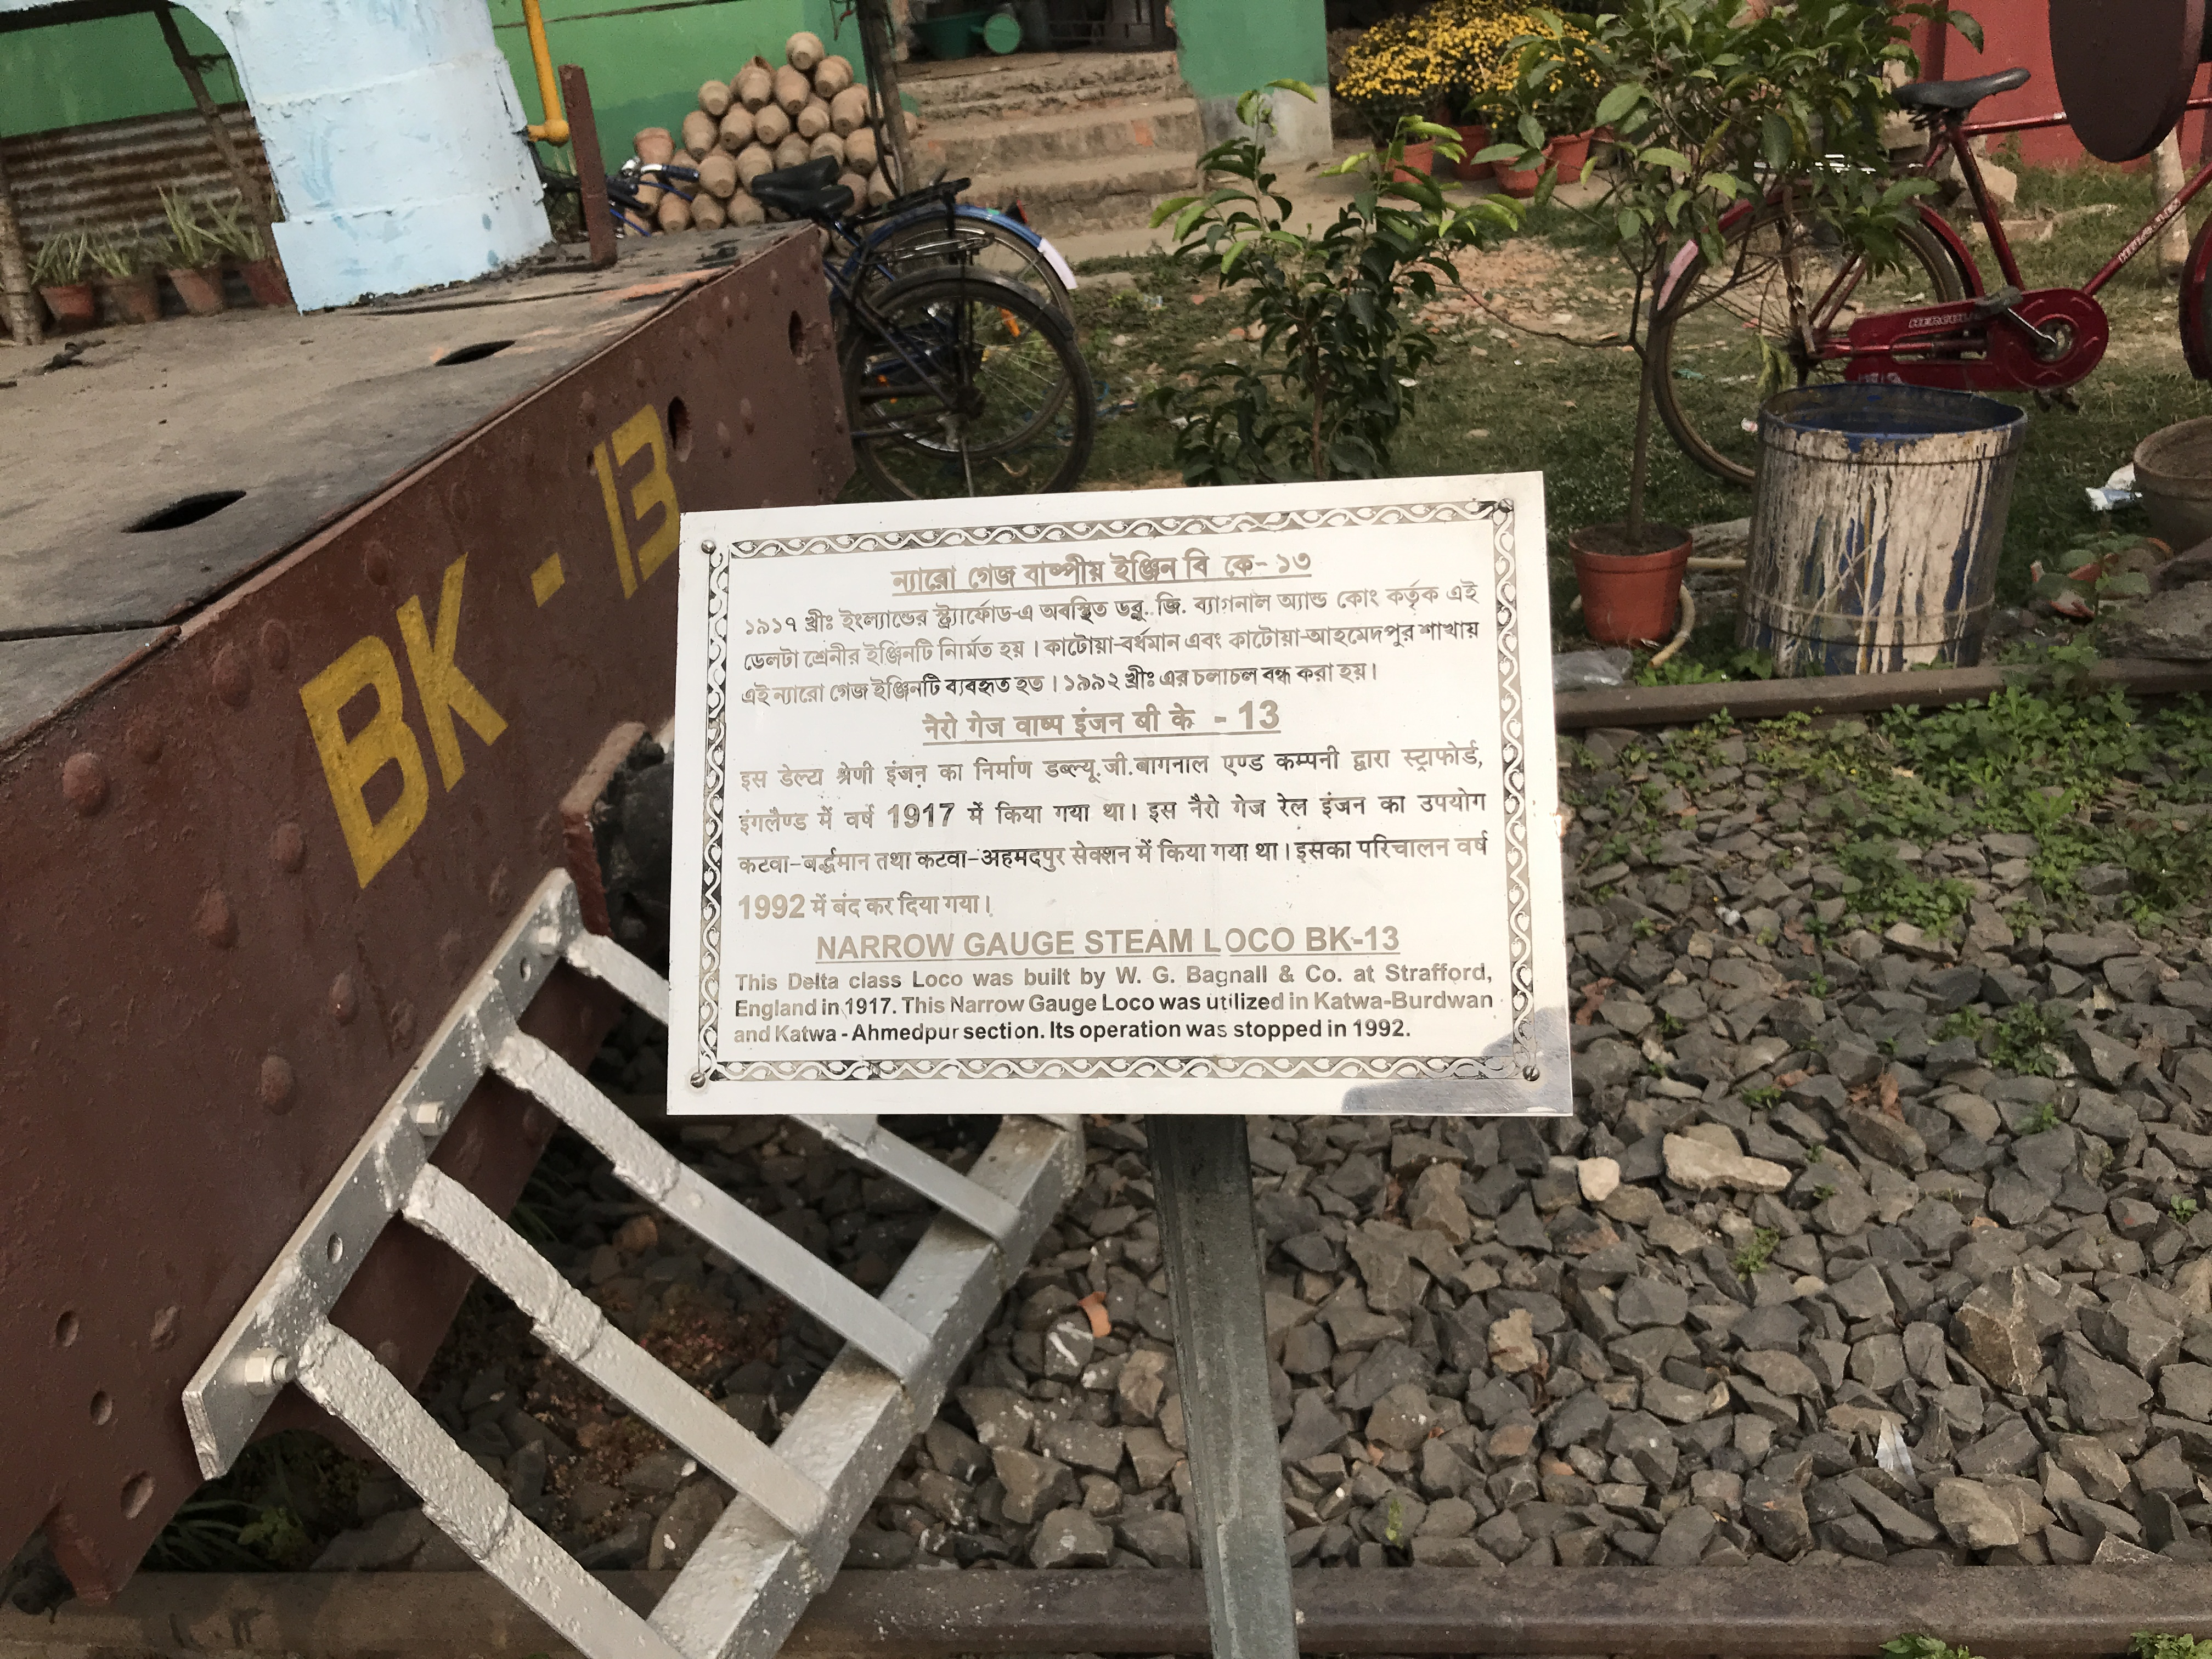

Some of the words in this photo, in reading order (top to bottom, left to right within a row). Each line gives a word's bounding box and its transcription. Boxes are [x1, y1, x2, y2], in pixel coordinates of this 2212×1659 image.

[743, 614, 799, 639] ১৯১৭
[742, 644, 804, 673] ডেলটা
[738, 678, 830, 710] এইন্যারো
[803, 601, 837, 636] খ্রীঃ
[798, 639, 865, 669] শ্রেনীর
[827, 676, 871, 706] গেজ
[830, 605, 932, 636] ইংল্যান্ডের
[859, 630, 938, 672] ইঞ্জিনটি
[861, 669, 945, 706] ইঞ্জিনটি
[887, 559, 961, 600] ন্য৷রো
[932, 630, 995, 663] নির্মিত
[925, 598, 1037, 630] স্ট্র্যাফোড-এ
[962, 554, 1022, 595] গেজ
[945, 673, 1046, 698] ব্যবহৃতহত
[992, 634, 1028, 666] হয়
[1020, 545, 1105, 595] বাষ্পীয়
[1037, 589, 1111, 627] অবস্থিত
[1041, 627, 1118, 662] কাটোয়া
[1062, 669, 1122, 694] ১৯৯২
[1108, 594, 1149, 626] ডব্লু .
[1120, 655, 1156, 693] খ্রীঃ
[1106, 543, 1179, 590] ইঞ্জিন
[1116, 627, 1183, 655] বর্ধমান
[1149, 582, 1189, 620] জি.
[1172, 538, 1215, 588] বি
[1183, 627, 1227, 656] এবং
[1159, 663, 1260, 691] এরচলাচল
[1191, 591, 1273, 617] ব্যাগনাল
[1226, 621, 1307, 652] কাটোয়া-
[1217, 546, 1318, 582] কে-১৩
[1255, 661, 1299, 686] বন্ধ
[1273, 586, 1332, 615] অ্যান্ড
[1291, 658, 1367, 685] করাহয়
[1334, 583, 1382, 609] কোং
[1304, 619, 1419, 650] আহমেদপুর
[1385, 575, 1443, 613] কর্তৃক
[1416, 617, 1483, 644] শাখায়
[1445, 574, 1483, 608] এই্
[283, 546, 516, 899] BK
[919, 706, 963, 743] नेरो
[963, 708, 1010, 742] गेज
[1013, 706, 1069, 742] वाष्प
[1064, 697, 1125, 742] इंजन
[1132, 697, 1169, 737] बी
[1161, 697, 1198, 737] के
[1211, 692, 1284, 735] -13
[738, 764, 771, 791] इस
[778, 760, 825, 791] डेल्टा
[830, 753, 878, 789] श्रेणी
[885, 755, 930, 787] इंजन
[934, 758, 968, 787] का
[969, 751, 1034, 782] निर्माण
[1041, 749, 1104, 787] डब्ल्यू.
[1097, 746, 1211, 778] जी.बागनाल
[1215, 746, 1267, 780] एण्ड
[1273, 740, 1338, 773] कम्‍पनी
[1347, 740, 1396, 773] द्वारा
[1398, 737, 1479, 771] स्ट्राफोर्ड
[731, 803, 811, 837] इंगलैण्ड
[814, 797, 838, 832] में
[841, 800, 879, 834] वर्ष
[888, 796, 960, 830] 1917
[963, 794, 990, 828] में
[990, 794, 1043, 825] किया
[1050, 798, 1093, 825] गया
[1099, 795, 1137, 827] था
[1144, 795, 1182, 825] इस
[1180, 787, 1222, 825] नैरो
[1224, 787, 1269, 823] गेज
[1271, 786, 1310, 821] रेल
[1320, 787, 1369, 821] इंजन
[1374, 787, 1409, 818] का
[1412, 785, 1485, 816] उपयोग
[732, 851, 794, 875] कटवा
[799, 842, 875, 875] बर्द्धमान
[871, 846, 915, 874] तथा
[910, 841, 974, 872] कटवा
[980, 844, 1068, 877] अहमदपुर
[1063, 834, 1132, 868] सेक्शन
[1132, 833, 1154, 865] में
[1154, 834, 1211, 866] किया
[1210, 838, 1249, 864] गया
[1254, 839, 1286, 864] था
[1293, 836, 1354, 866] इसका
[1356, 830, 1453, 865] परिचालन
[1454, 827, 1489, 857] वर्ष
[738, 890, 810, 921] 1992
[808, 884, 833, 922] में
[830, 887, 864, 920] बंद
[860, 891, 897, 921] क‍र
[887, 885, 944, 922] दिया
[938, 888, 984, 917] गया
[814, 929, 956, 965] NARROW
[959, 928, 1076, 961] GAUGE
[1084, 924, 1198, 957] STEAM
[1204, 917, 1299, 957] LOCO
[1305, 917, 1403, 957] BK-13
[733, 967, 778, 994] This
[733, 994, 820, 1025] England
[784, 969, 842, 994] Delta
[816, 993, 844, 1018] in
[834, 988, 899, 1017] 1917
[845, 967, 907, 991] class
[892, 988, 959, 1019] This
[909, 970, 967, 991] Loco
[948, 991, 1029, 1014] Narrow
[971, 968, 1014, 990] was
[1022, 965, 1072, 991] built
[1025, 988, 1100, 1020] Gauge
[1075, 962, 1108, 992] by
[1099, 991, 1158, 1013] Loco
[1114, 960, 1177, 986] W.G.
[1155, 987, 1201, 1012] was
[1183, 962, 1272, 990] Bagnall
[1204, 990, 1287, 1013] utilized
[1273, 958, 1296, 987] &
[1284, 986, 1312, 1008] in
[1305, 960, 1340, 985] Co
[1311, 990, 1387, 1013] Katwa
[1351, 964, 1380, 988] at
[1378, 956, 1487, 985] Strafford
[1389, 987, 1497, 1013] Burdwan
[732, 1024, 776, 1045] and
[773, 1020, 839, 1045] Katwa
[850, 1018, 960, 1045] Ahmedpur
[961, 1017, 1040, 1041] section
[1048, 1019, 1075, 1041] Its
[1079, 1012, 1182, 1046] operation
[1184, 1017, 1233, 1043] was
[1232, 1017, 1324, 1043] stopped
[1321, 1014, 1348, 1041] in
[1351, 1013, 1414, 1039] 1992.